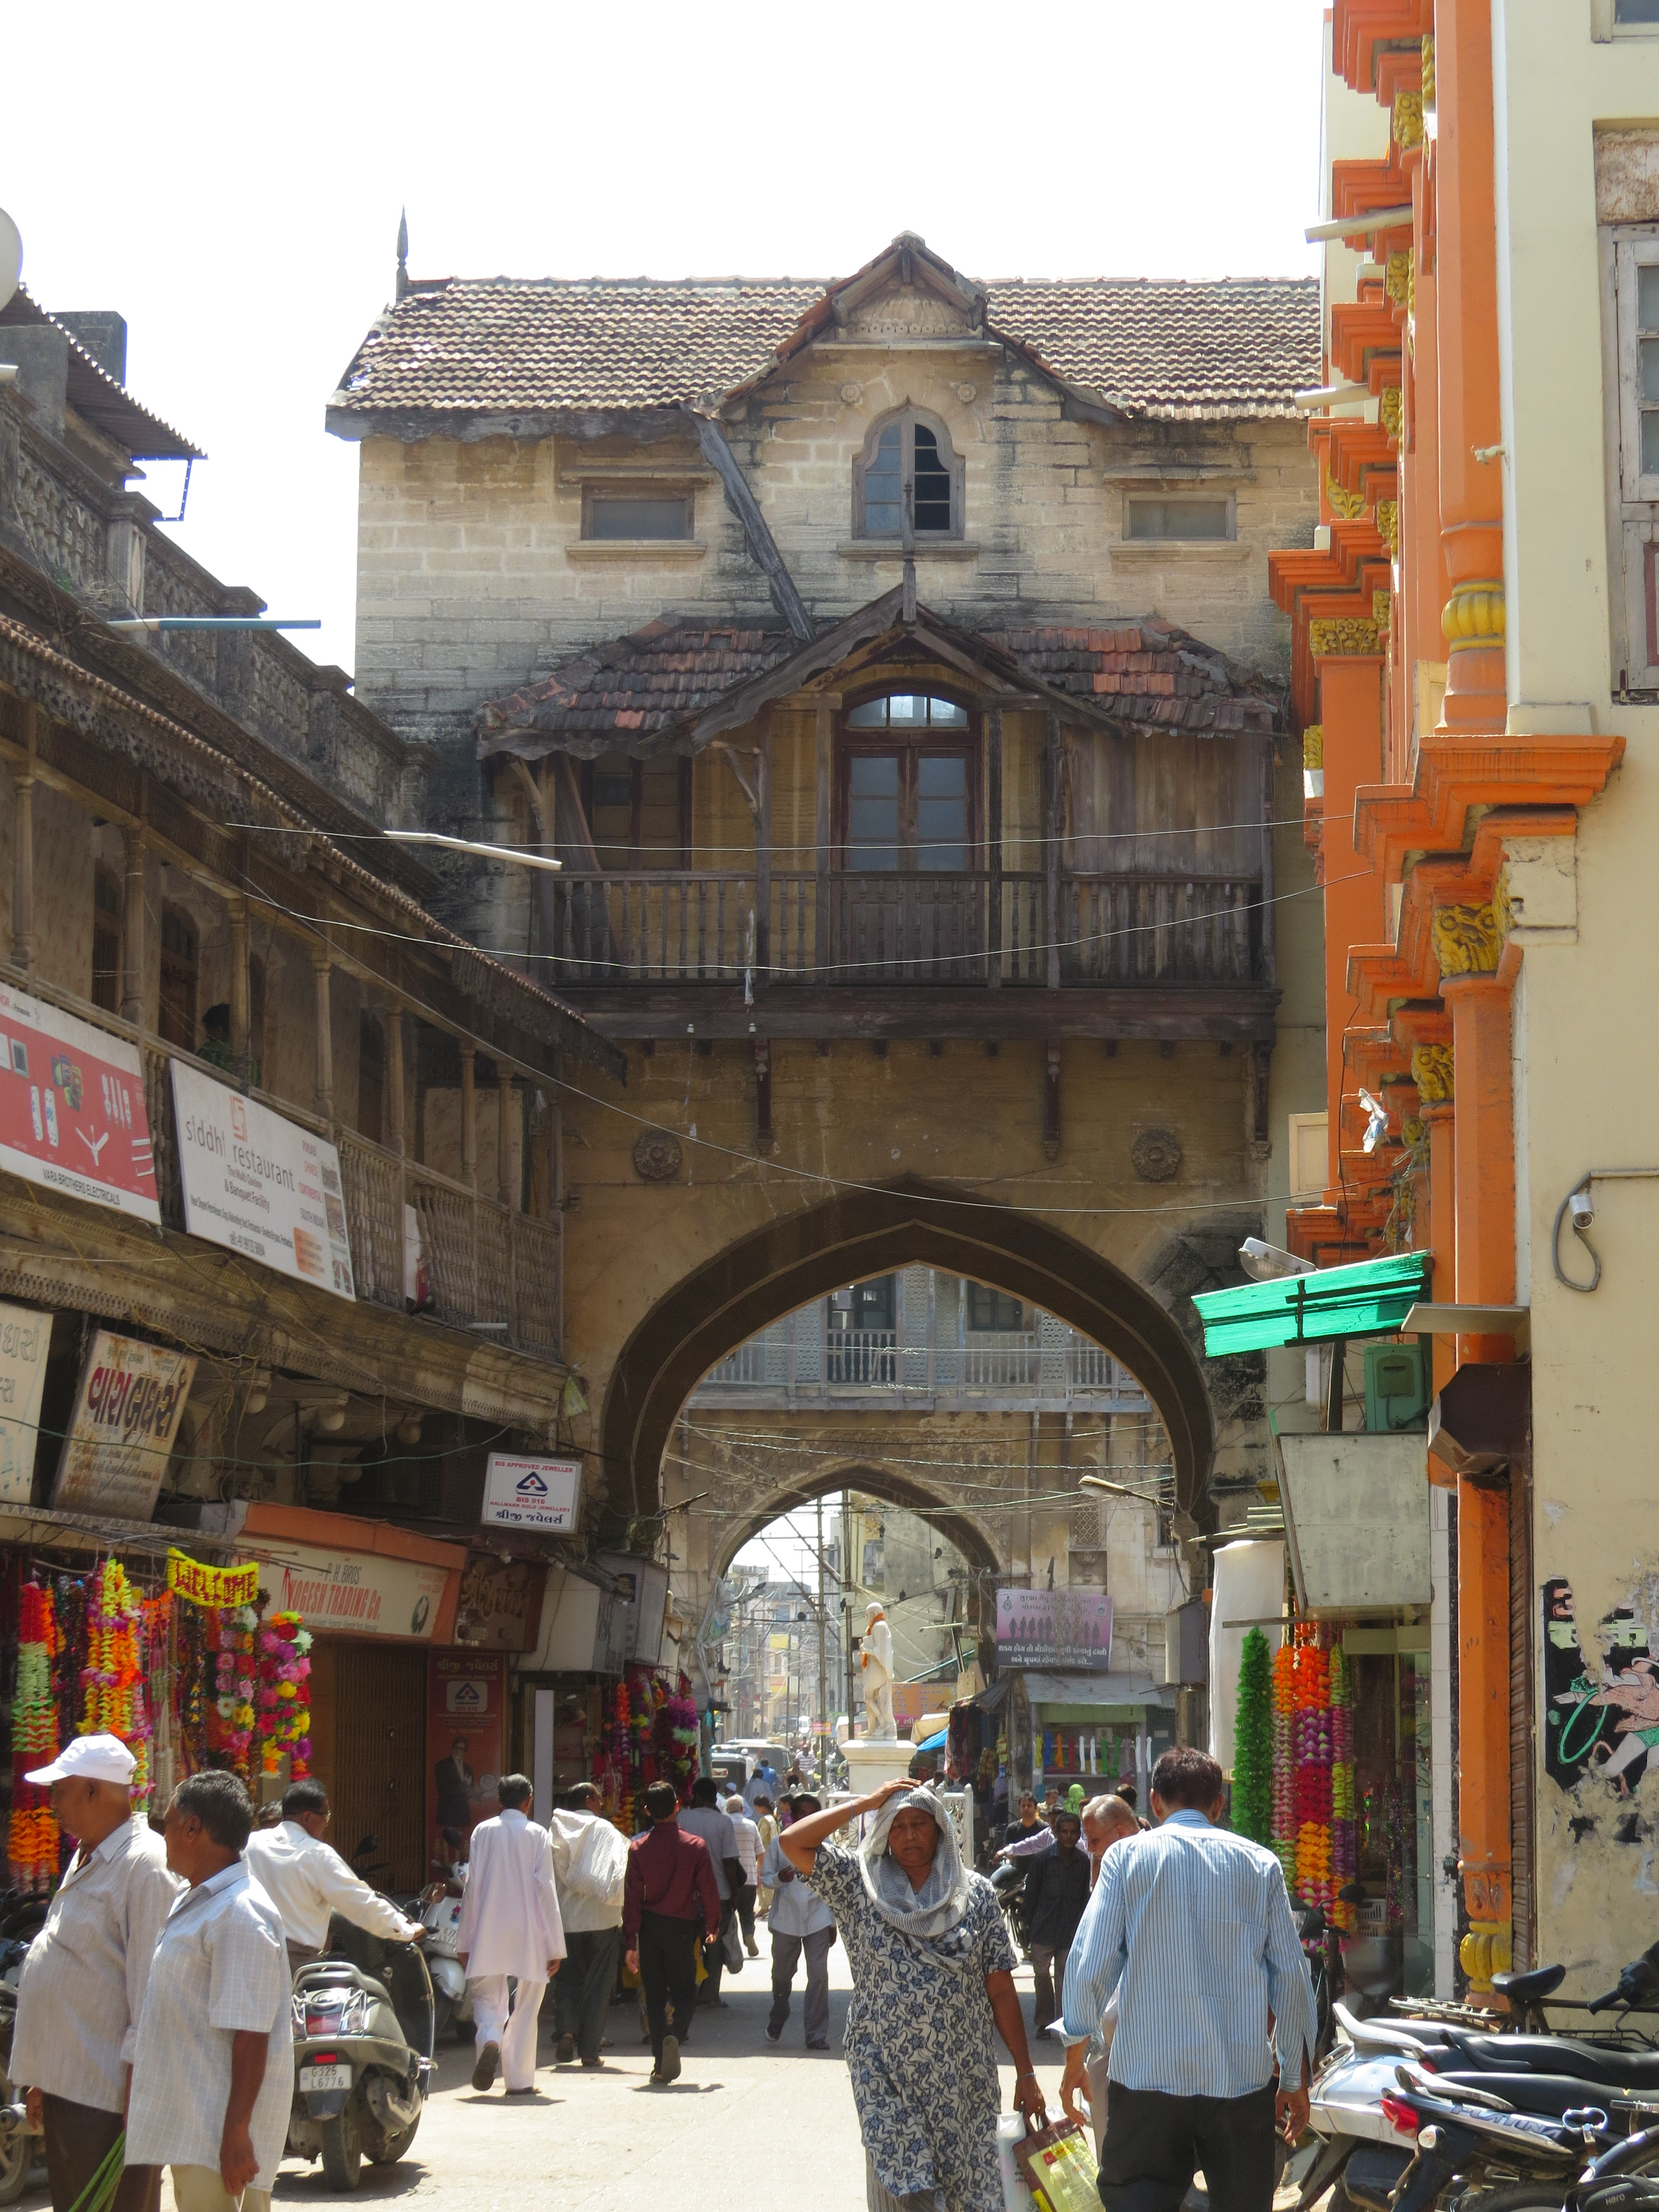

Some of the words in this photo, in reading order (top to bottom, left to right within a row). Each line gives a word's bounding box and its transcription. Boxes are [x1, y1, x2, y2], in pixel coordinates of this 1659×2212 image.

[182, 1110, 231, 1162] siddhi
[228, 1140, 297, 1195] restaurant
[1, 1313, 50, 1370] ધર્સ
[74, 1363, 136, 1434] વારા
[121, 1360, 191, 1444] બ્રધર્સ
[491, 1507, 524, 1524] શ્રીજી
[523, 1511, 566, 1528] જવૅલર્સ
[284, 1576, 330, 1616] YOGESH
[323, 1583, 372, 1621] TRADING
[364, 1588, 390, 1624] Co.
[434, 1656, 464, 1676] શ્રીજી
[463, 1655, 503, 1673] જવેલર્સ